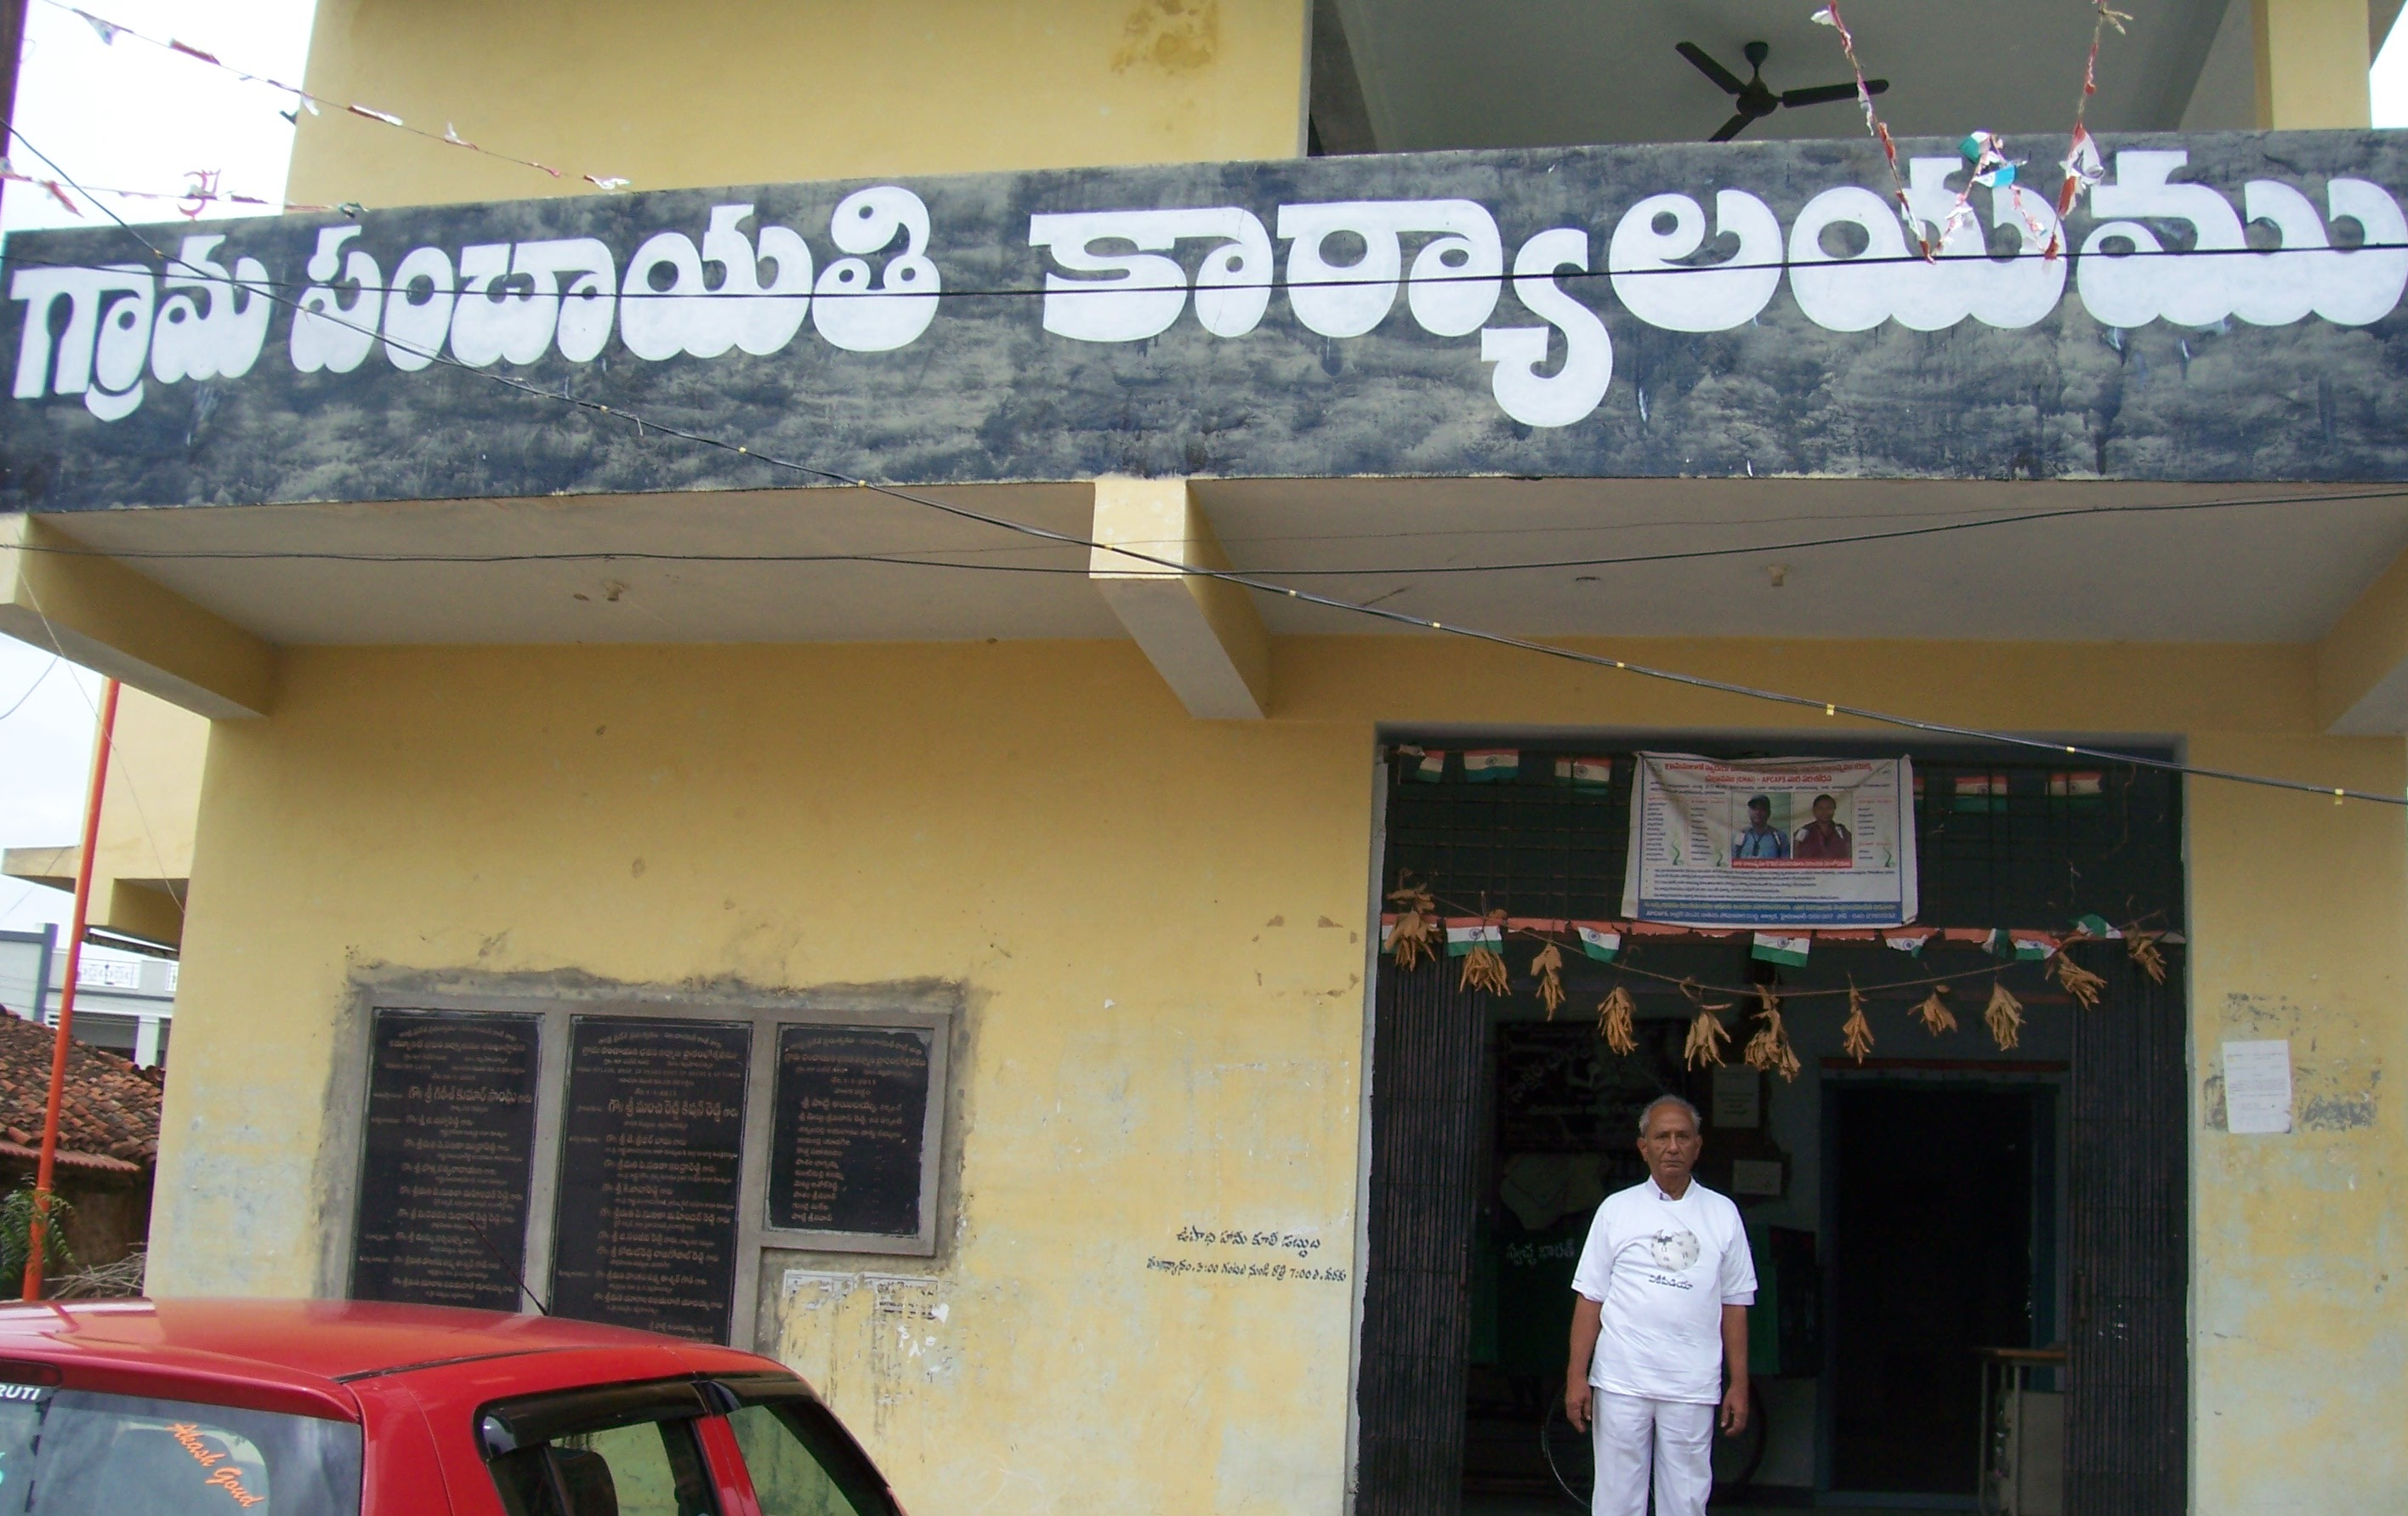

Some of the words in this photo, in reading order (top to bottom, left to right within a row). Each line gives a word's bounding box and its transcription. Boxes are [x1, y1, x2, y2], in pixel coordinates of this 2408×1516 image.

[282, 179, 957, 383] సంబాయతి
[1018, 145, 2405, 434] కార్యాలయము
[0, 226, 282, 430] గ్రామ్
[416, 1076, 491, 1109] శ్రీ గరరశ కుమార
[620, 1093, 684, 1125] శ్రీ మంచి రెడ్డి
[1243, 1224, 1286, 1252] కూలీ
[1277, 1228, 1326, 1263] డబ్బుబ